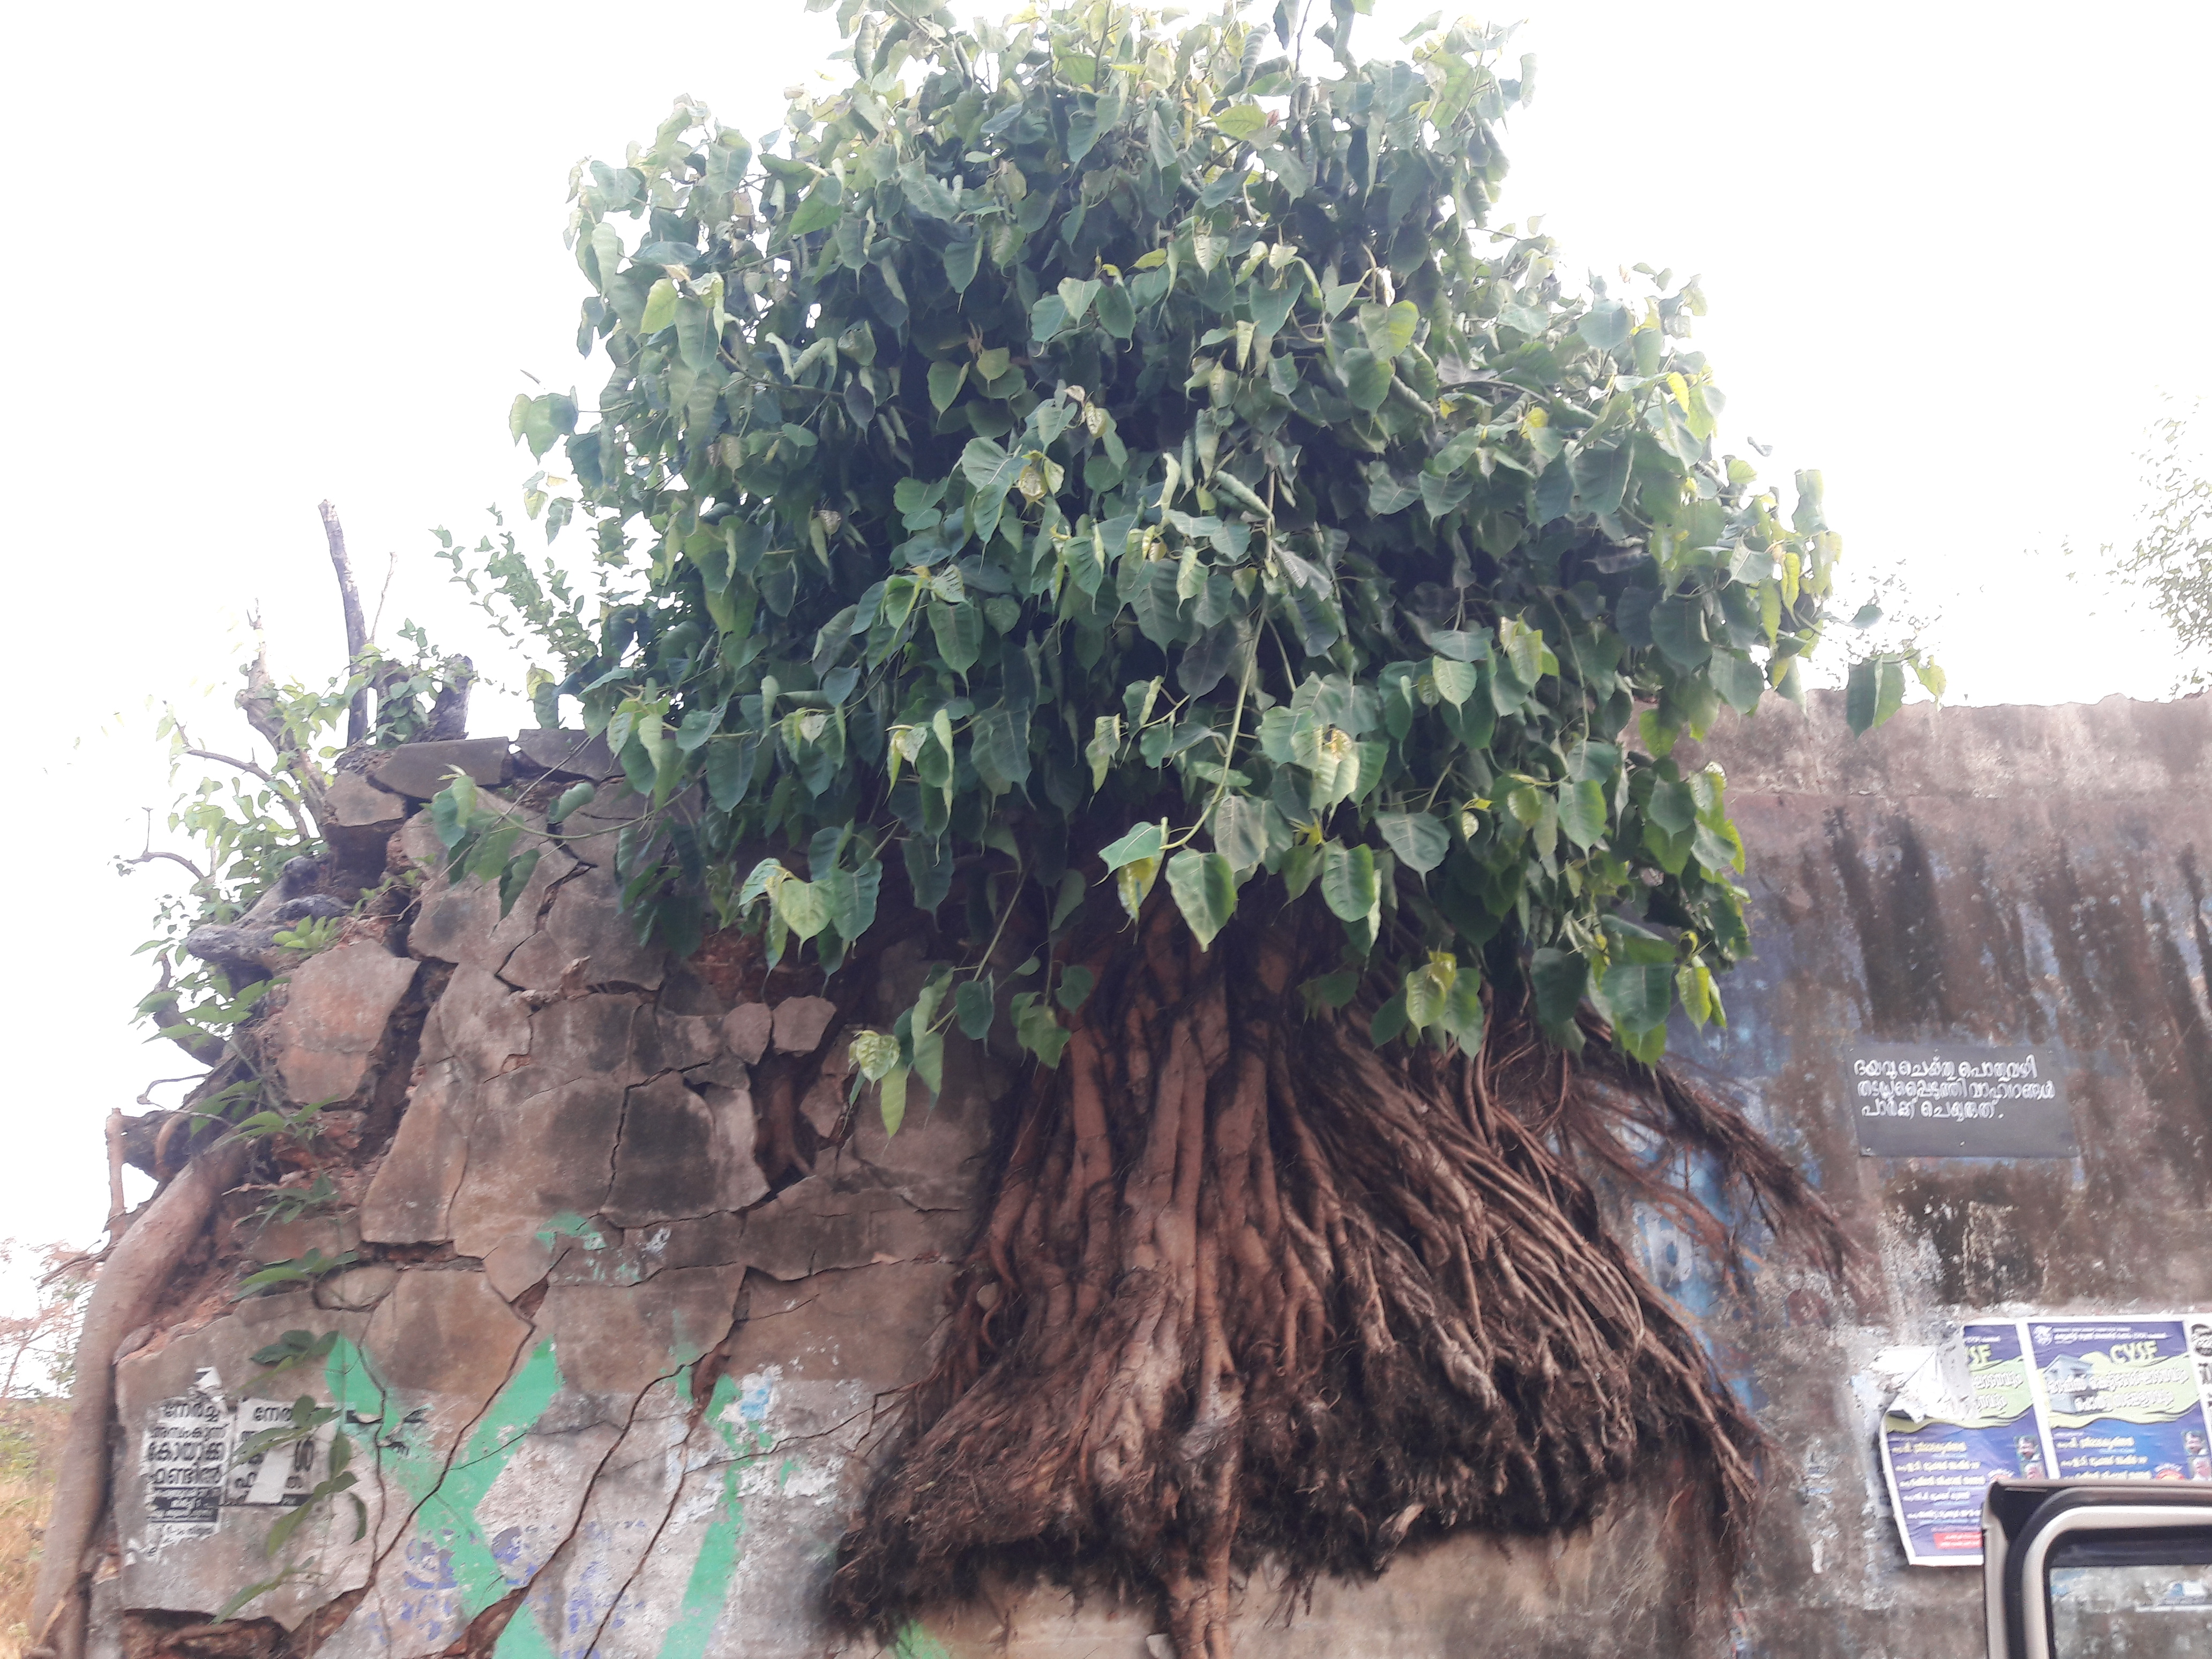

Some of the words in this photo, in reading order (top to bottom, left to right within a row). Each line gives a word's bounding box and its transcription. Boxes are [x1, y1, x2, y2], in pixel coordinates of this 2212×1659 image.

[1859, 1095, 1920, 1119] പാർക്ക്
[156, 1399, 223, 1426] നേർച്ച
[143, 1437, 227, 1469] കോയൂക്ക